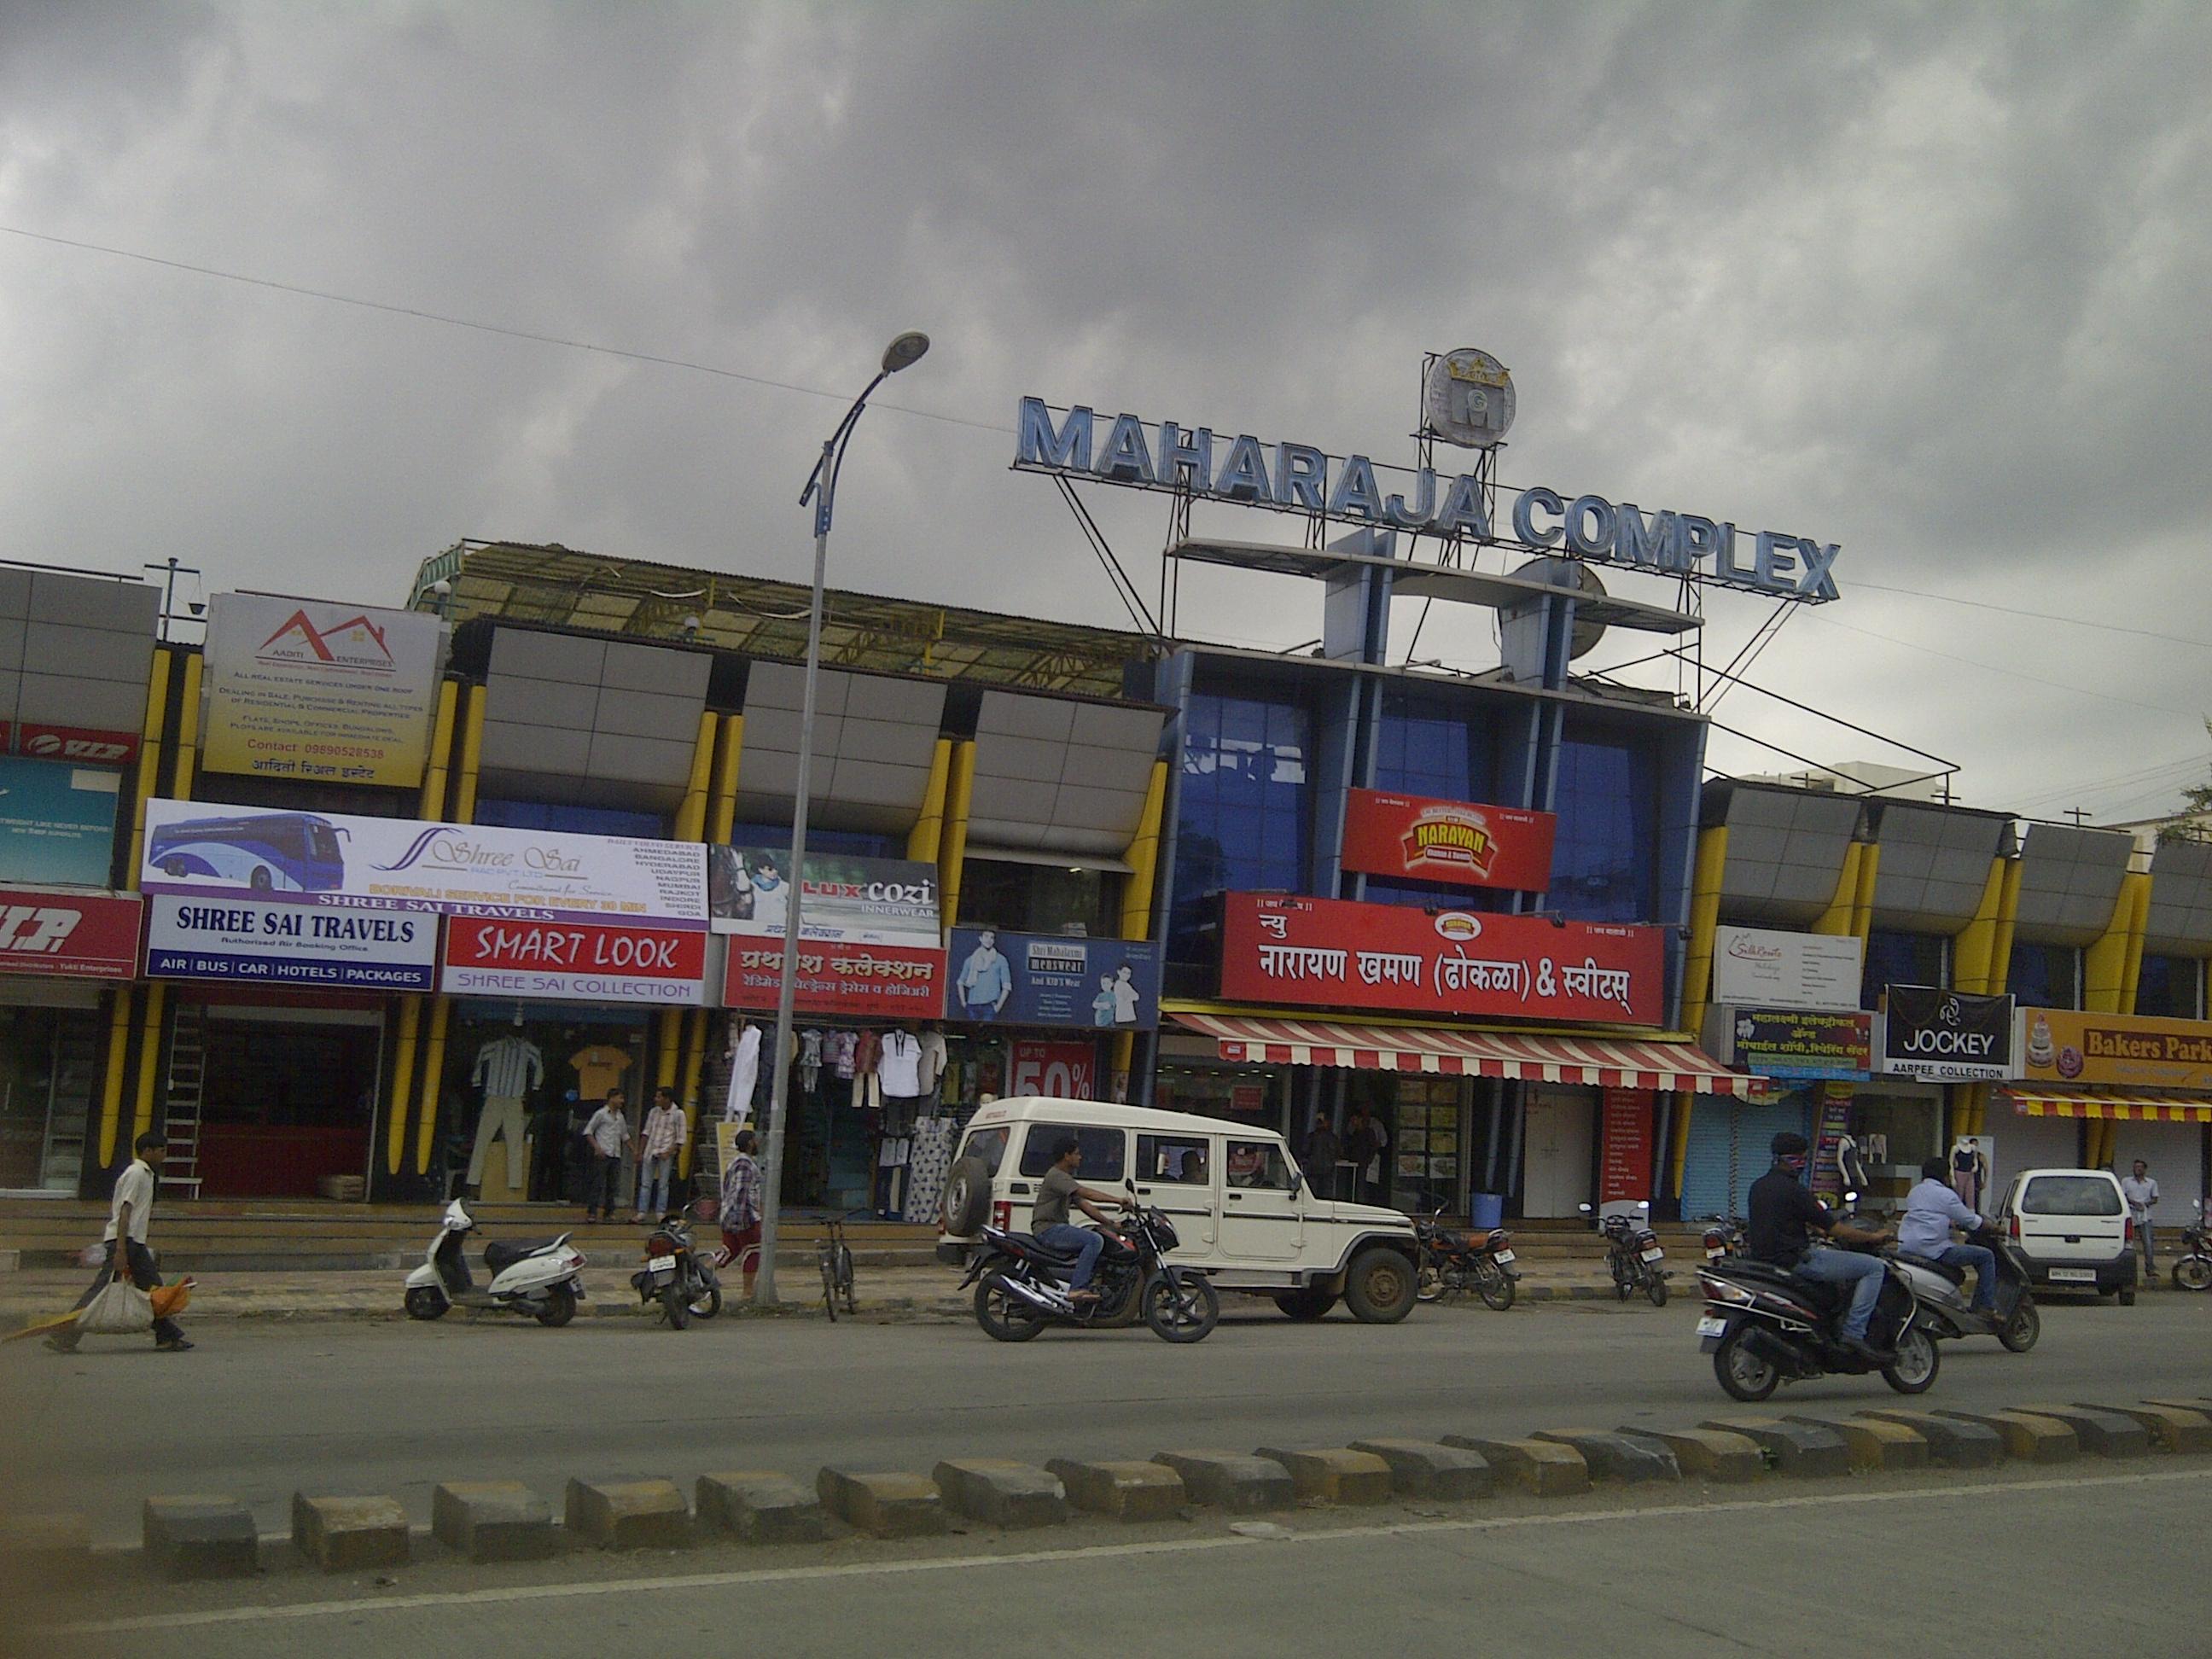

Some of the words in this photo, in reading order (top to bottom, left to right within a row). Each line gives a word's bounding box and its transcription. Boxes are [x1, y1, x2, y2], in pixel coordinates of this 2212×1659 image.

[1012, 385, 1498, 548] MAHARAJA
[1510, 479, 1847, 608] COMPLEX
[269, 646, 309, 662] AADITI
[329, 649, 400, 669] ENTERPRISES
[244, 730, 300, 754] Contact
[249, 752, 300, 774] आदिती
[298, 756, 341, 781] रिअल
[303, 738, 388, 764] 09890528538
[337, 759, 377, 783] इस्टेट
[1413, 815, 1487, 858] NARAYAN
[425, 834, 519, 873] Shree
[520, 838, 586, 878] Sai
[174, 902, 254, 934] SHREE
[261, 903, 306, 940] SAI
[312, 890, 403, 913] SHREE
[310, 910, 419, 946] TRAVELS
[404, 894, 449, 916] SAI
[442, 884, 516, 905] SERVICE
[451, 899, 558, 925] TRAVELS
[509, 888, 551, 910] FOR
[544, 891, 602, 912] EVERY
[798, 876, 861, 899] LUX
[859, 900, 940, 923] INNERWEAR
[867, 875, 938, 911] cozi
[1253, 907, 1298, 946] न्यु
[216, 934, 278, 948] Authorised
[275, 934, 297, 950] Air
[293, 938, 342, 952] Booking
[337, 940, 371, 958] Office
[469, 923, 591, 968] SMART
[591, 928, 684, 967] LOOK
[159, 950, 191, 975] AIR
[191, 954, 233, 977] BUS
[233, 957, 276, 981] CAR
[274, 961, 342, 981] HOTELS
[342, 965, 424, 987] PACKAGES
[456, 969, 528, 993] SHREE
[528, 970, 569, 994] SAI
[570, 975, 693, 999] COLLECTION
[741, 970, 785, 991] रेडिमेड
[789, 973, 841, 998] वेल्ड्रेन्स
[833, 975, 875, 998] ड्रेसेस
[866, 980, 888, 998] व
[829, 946, 938, 984] कलेक्शन
[882, 975, 934, 1000] होजिअरी
[1255, 940, 1349, 983] नारायण
[1351, 942, 1425, 994] खमण
[1438, 940, 1524, 999] ढोकळा
[1534, 947, 1566, 1003] &
[1559, 949, 1636, 1018] स्वीटस्
[1748, 1004, 1803, 1029] महालक्ष्मी
[1795, 1008, 1858, 1032] इलेक्ट्रीकल
[1731, 1033, 1785, 1057] मोबाईल
[1773, 1032, 1810, 1057] शॉपी,
[1787, 1023, 1820, 1045] ॲन्ड
[1807, 1035, 1849, 1060] रिपेरिंग
[1841, 1039, 1873, 1061] सेंटर
[1899, 1026, 1996, 1057] JOCKEY
[2085, 1025, 2168, 1063] Bakers
[1886, 1058, 1936, 1077] AARPEE
[1937, 1062, 2008, 1081] COLLECTION